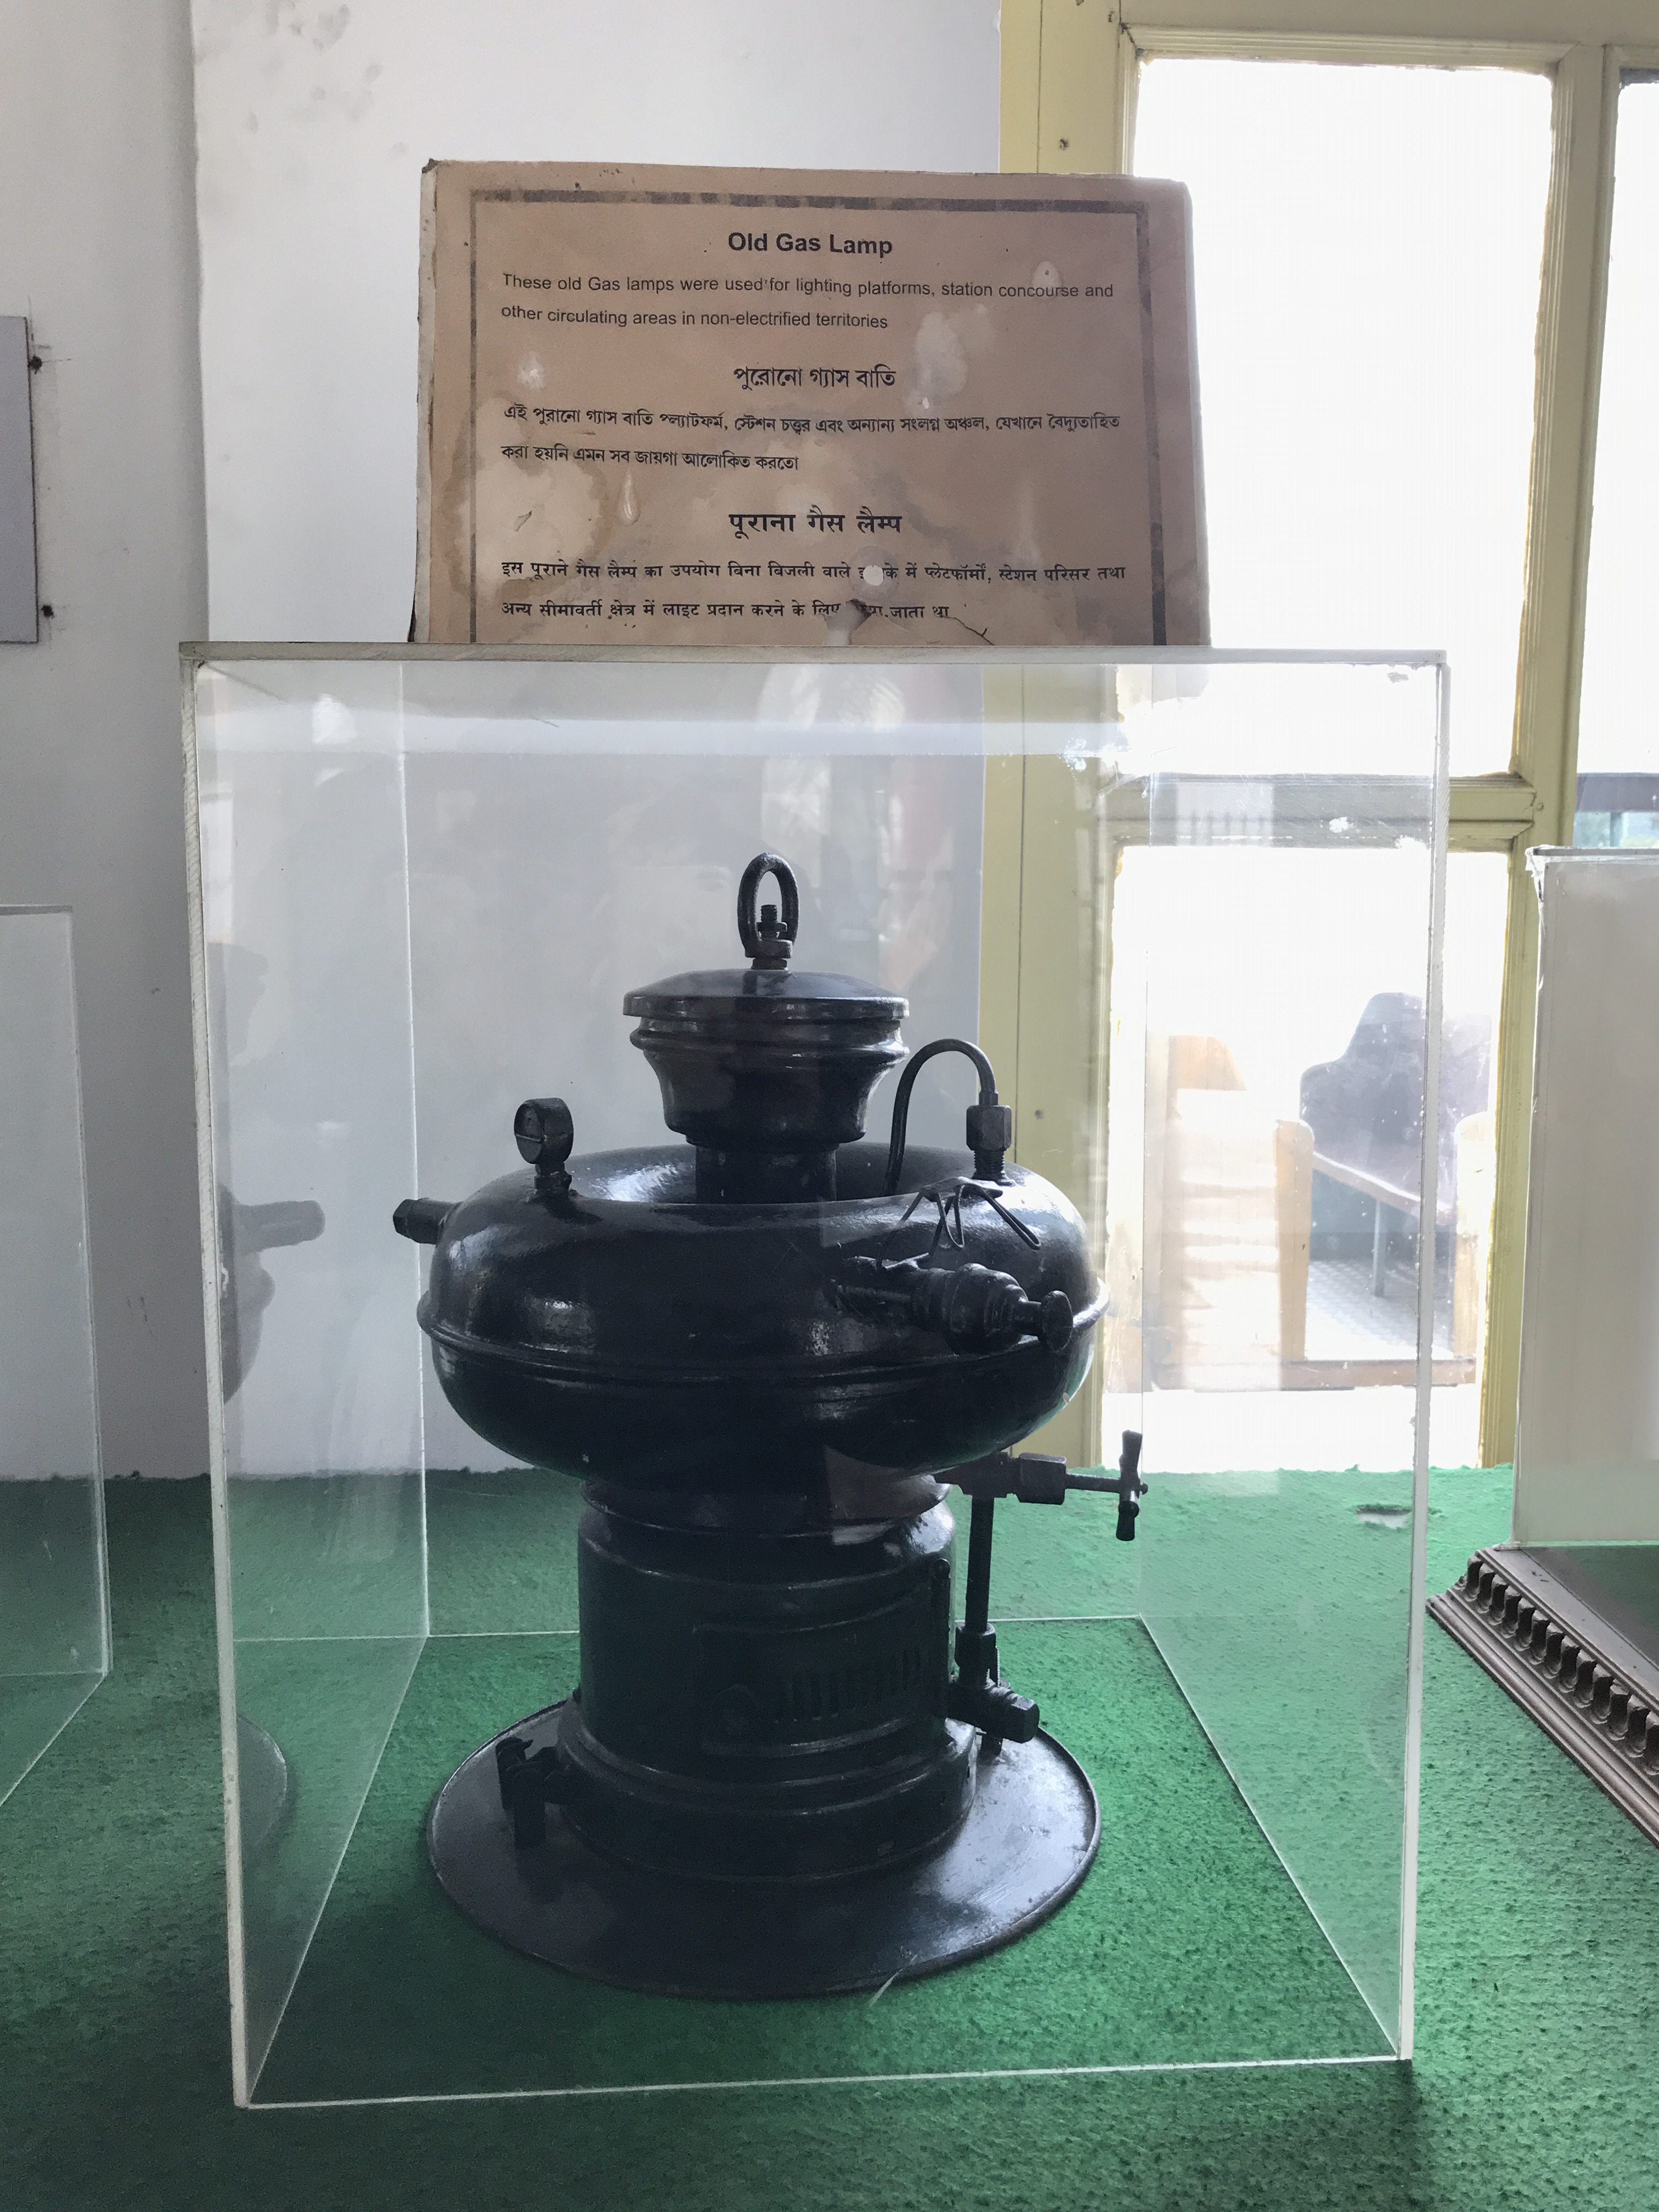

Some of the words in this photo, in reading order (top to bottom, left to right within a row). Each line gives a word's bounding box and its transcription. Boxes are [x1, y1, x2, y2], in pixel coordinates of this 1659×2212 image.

[719, 224, 771, 260] Old
[770, 226, 827, 258] Gas
[826, 228, 896, 268] Lamp
[503, 267, 557, 294] These
[548, 271, 584, 294] e old
[584, 272, 623, 292] Gas
[626, 273, 676, 294] lamps
[678, 274, 722, 294] were
[721, 276, 767, 298] used
[764, 270, 792, 296] for
[795, 276, 857, 298] lighting
[855, 277, 935, 302] platforms,
[938, 280, 996, 298] station
[995, 281, 1085, 302] concourse
[1083, 281, 1117, 300] and
[499, 303, 544, 322] other
[545, 307, 629, 330] circulating
[630, 309, 684, 326] areas
[676, 308, 702, 329] in
[693, 306, 814, 329] non-electrified
[814, 309, 892, 332] territories
[721, 362, 809, 396] পুরোনো
[806, 359, 900, 392] গ্যাস বাতি
[502, 402, 531, 425] এই
[529, 404, 589, 430] পুরানো
[580, 404, 620, 432] গ্যাস
[616, 406, 662, 429] বাতি
[655, 409, 729, 432] প্ল্যাটফর্ম
[727, 412, 780, 432] স্টেশন
[777, 413, 818, 436] চত্ত্বর
[815, 416, 850, 435] এবং
[845, 411, 897, 441] অন্যান্য
[897, 413, 941, 433] সংলগ্ন
[939, 414, 988, 433] অঞ্চল
[994, 412, 1049, 436] যেখানে
[1042, 407, 1125, 435] বৈদ্যুতাহিত
[495, 441, 531, 464] করা
[530, 439, 573, 466] হয়নি
[568, 443, 607, 466] এমন
[605, 448, 634, 465] সব
[634, 447, 684, 468] জায়গা
[679, 444, 757, 472] আলোকিত
[752, 451, 801, 473] করতো
[723, 511, 799, 544] पूराना
[798, 498, 853, 535] गैस
[849, 503, 907, 538] लैम्प
[501, 557, 525, 582] इस
[527, 556, 573, 584] पूराने
[569, 556, 603, 579] गैस
[604, 553, 642, 582] लैम्पं
[642, 563, 670, 580] का
[667, 555, 724, 579] उपयोग
[725, 553, 764, 579] बिना
[761, 556, 820, 580] बिजली
[819, 559, 855, 582] वाले
[900, 557, 924, 583] में
[920, 560, 991, 583] प्लेटफॉर्मों
[996, 557, 1039, 584] स्टेशन
[1040, 556, 1096, 583] परिसर
[1094, 564, 1130, 583] तथा
[499, 599, 537, 618] अन्य
[535, 596, 606, 620] सीमावर्ती
[608, 594, 638, 618] क्षेत्र
[639, 595, 661, 618] में
[659, 597, 702, 625] लाइट
[704, 602, 747, 617] प्रदान
[748, 594, 791, 622] करने
[786, 592, 806, 620] के
[808, 595, 842, 616] लिए
[888, 600, 931, 623] जाता